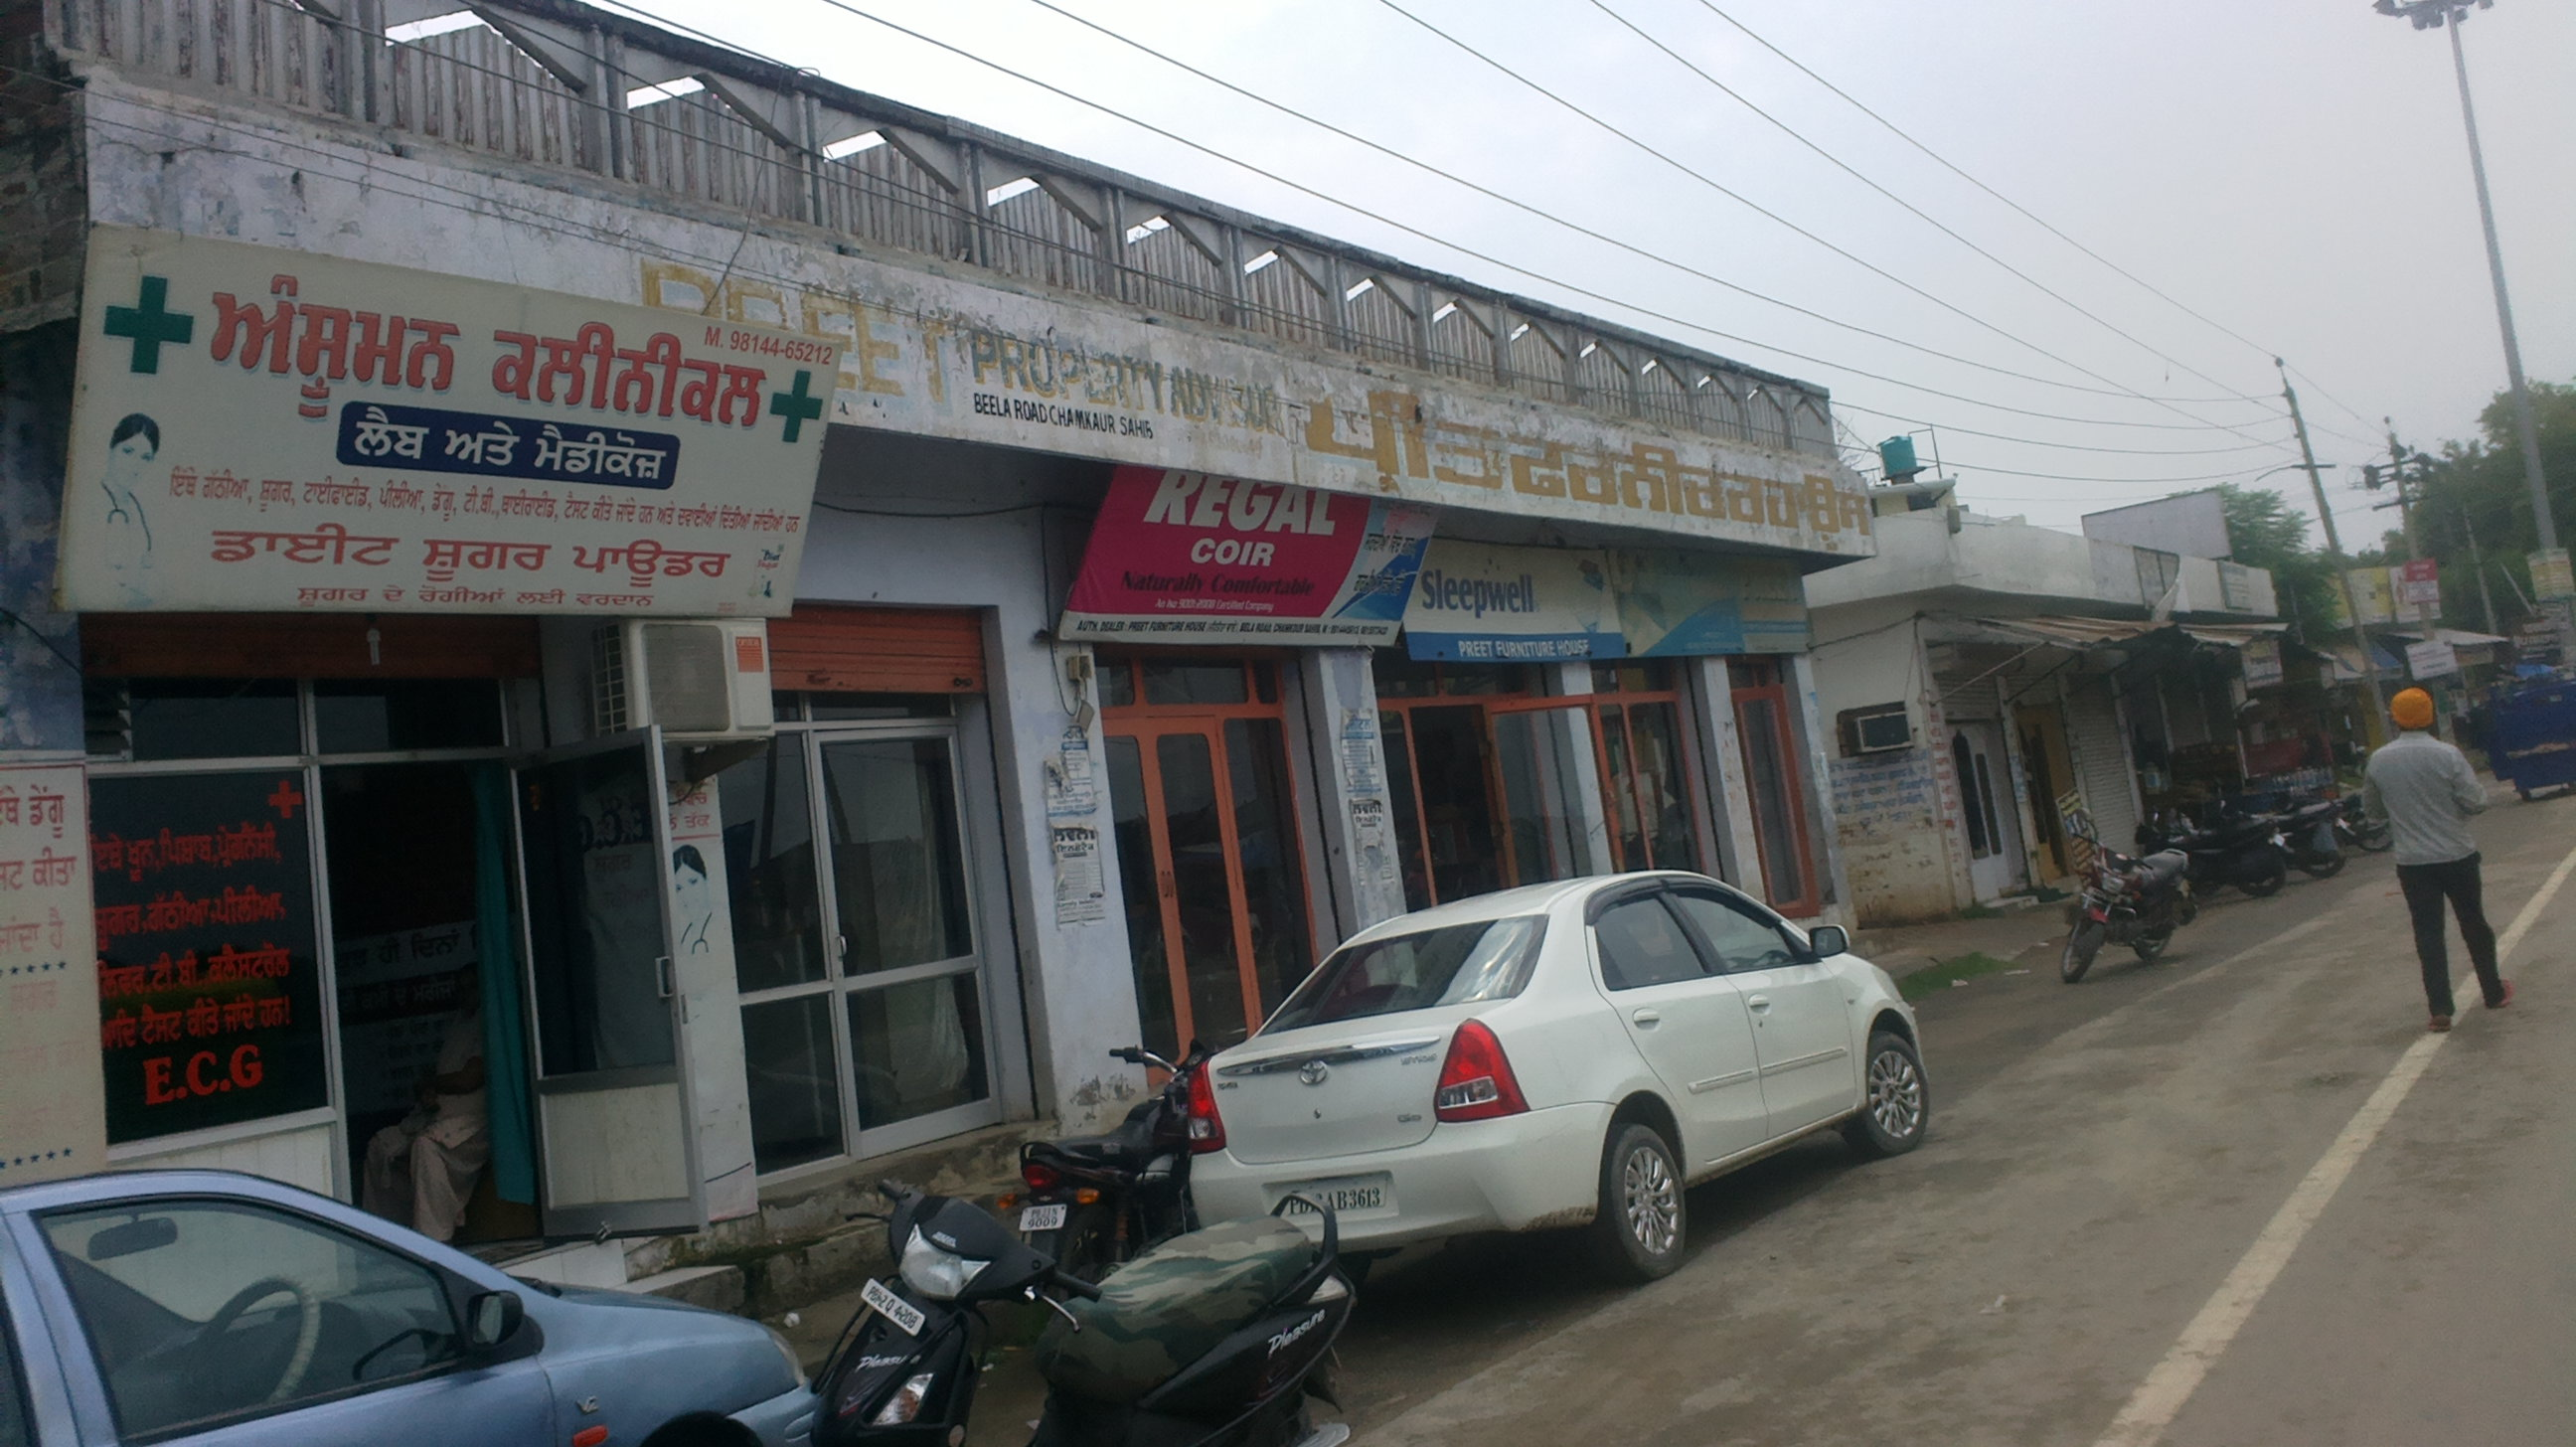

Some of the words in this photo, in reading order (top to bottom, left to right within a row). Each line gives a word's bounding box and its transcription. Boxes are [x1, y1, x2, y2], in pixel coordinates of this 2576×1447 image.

[196, 256, 465, 424] ਅੰਸੂਮਨ
[699, 320, 728, 356] M.
[728, 326, 839, 370] 98144-65212
[488, 313, 774, 435] ਕਲੀਨੀਕਲ
[162, 456, 200, 505] ਇੱਥੇ
[196, 464, 253, 510] ਗੱਠੀਆ
[253, 472, 295, 519] ਸ਼ੂਗਰ
[202, 513, 410, 570] ਡਾਈਟ
[289, 578, 375, 613] ਸ਼ੂਗਰ
[297, 471, 374, 512] ਟਾਈਫਾਈਡ
[346, 402, 437, 466] ਲੈਬ
[373, 571, 413, 609] ਦੇ
[377, 472, 427, 514] ਪੀਲੀਆ
[428, 480, 458, 525] ਡੇਗੂ
[415, 583, 512, 608] ਰੋਗੀਆਂ
[459, 482, 500, 515] ਟੀ.ਬੀ.
[439, 414, 528, 472] ਅਤੇ
[416, 527, 560, 583] ਸ਼ੂਗਰ
[499, 485, 560, 521] ਬਾਈਰਾਈਡ
[511, 583, 572, 611] ਲਈਂ
[560, 484, 591, 525] ਟੈਸਟ
[526, 422, 672, 489] ਮੈਡੀਕੋਜ਼
[590, 489, 617, 523] ਕੀਤੇ
[570, 587, 659, 613] ਵਰਦਾਨ
[611, 493, 639, 526] ਜਾਂਦੇ
[635, 497, 657, 526] ਹਨਂ
[564, 531, 737, 590] ਪਾਊਡਰ
[655, 500, 679, 528] ਅਤੇ
[673, 499, 721, 530] ਦਵਾਈਆਂ
[719, 498, 756, 539] ਦਿਤੀਆਂ
[750, 504, 786, 538] ਜਾਂਦੀਆ
[972, 390, 1015, 424] BEELA
[1013, 397, 1050, 426] ROAD
[1048, 400, 1120, 438] CHAMKAUR
[1117, 411, 1156, 444] SAHIB
[1110, 563, 1208, 594] Naturally
[1185, 532, 1286, 570] COIR
[1135, 468, 1348, 546] REGAL
[1205, 570, 1318, 600] Comfortable
[1418, 565, 1539, 626] Sleepwell
[1501, 416, 1770, 534] ਫਰਨੀਰਰ
[1765, 467, 1875, 555] ਹਾਊਸ
[1452, 634, 1496, 662] PREET
[1494, 635, 1557, 661] FURNITURE
[1553, 635, 1594, 659] HOUSE
[23, 774, 72, 840] ਡੇਂਗੂ
[27, 841, 85, 891] ਕੀਤਾ
[41, 896, 69, 956] ਹੈ
[374, 930, 409, 971] ਹੀ
[404, 922, 466, 967] ਇਨਾ
[132, 1037, 273, 1110] E.C.G
[1333, 1183, 1384, 1212] B3613
[1264, 1305, 1330, 1362] Pleasure